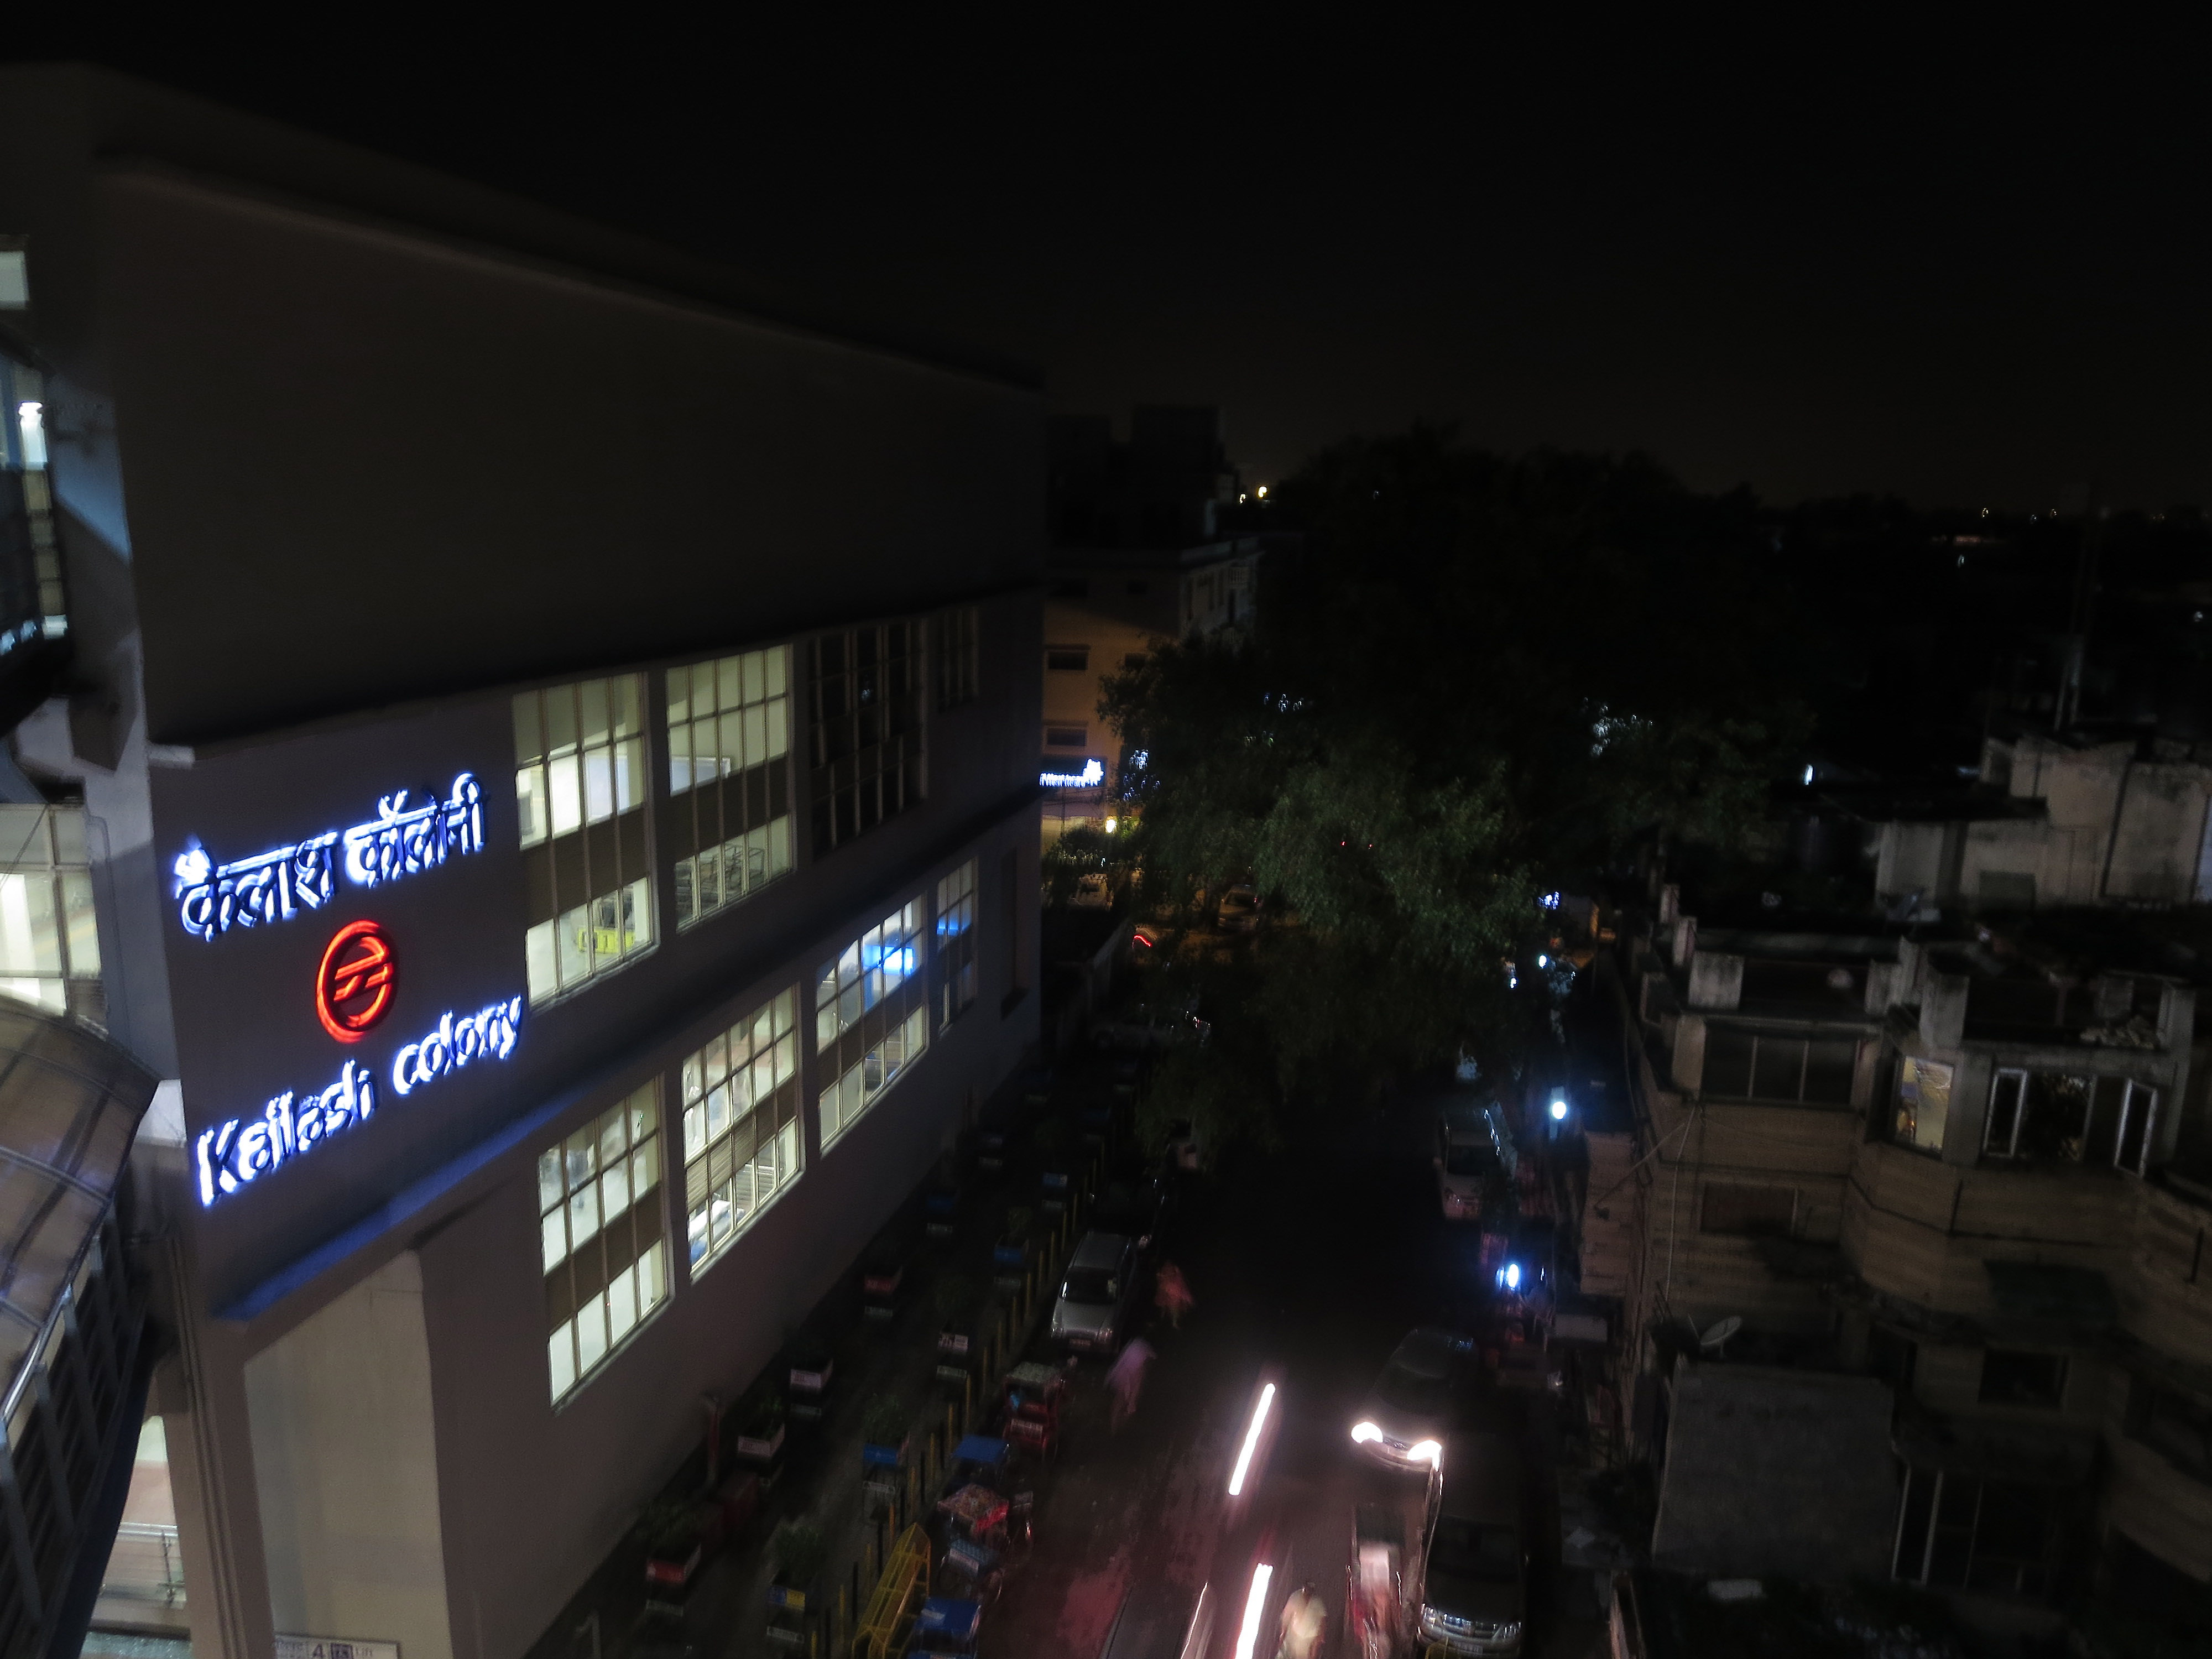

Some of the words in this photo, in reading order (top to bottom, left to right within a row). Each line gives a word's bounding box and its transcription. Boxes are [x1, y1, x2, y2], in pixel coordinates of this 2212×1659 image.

[171, 825, 342, 949] कैलाश
[344, 768, 493, 894] कॉलोनी
[387, 990, 525, 1100] colony
[195, 1052, 384, 1206] Kailash